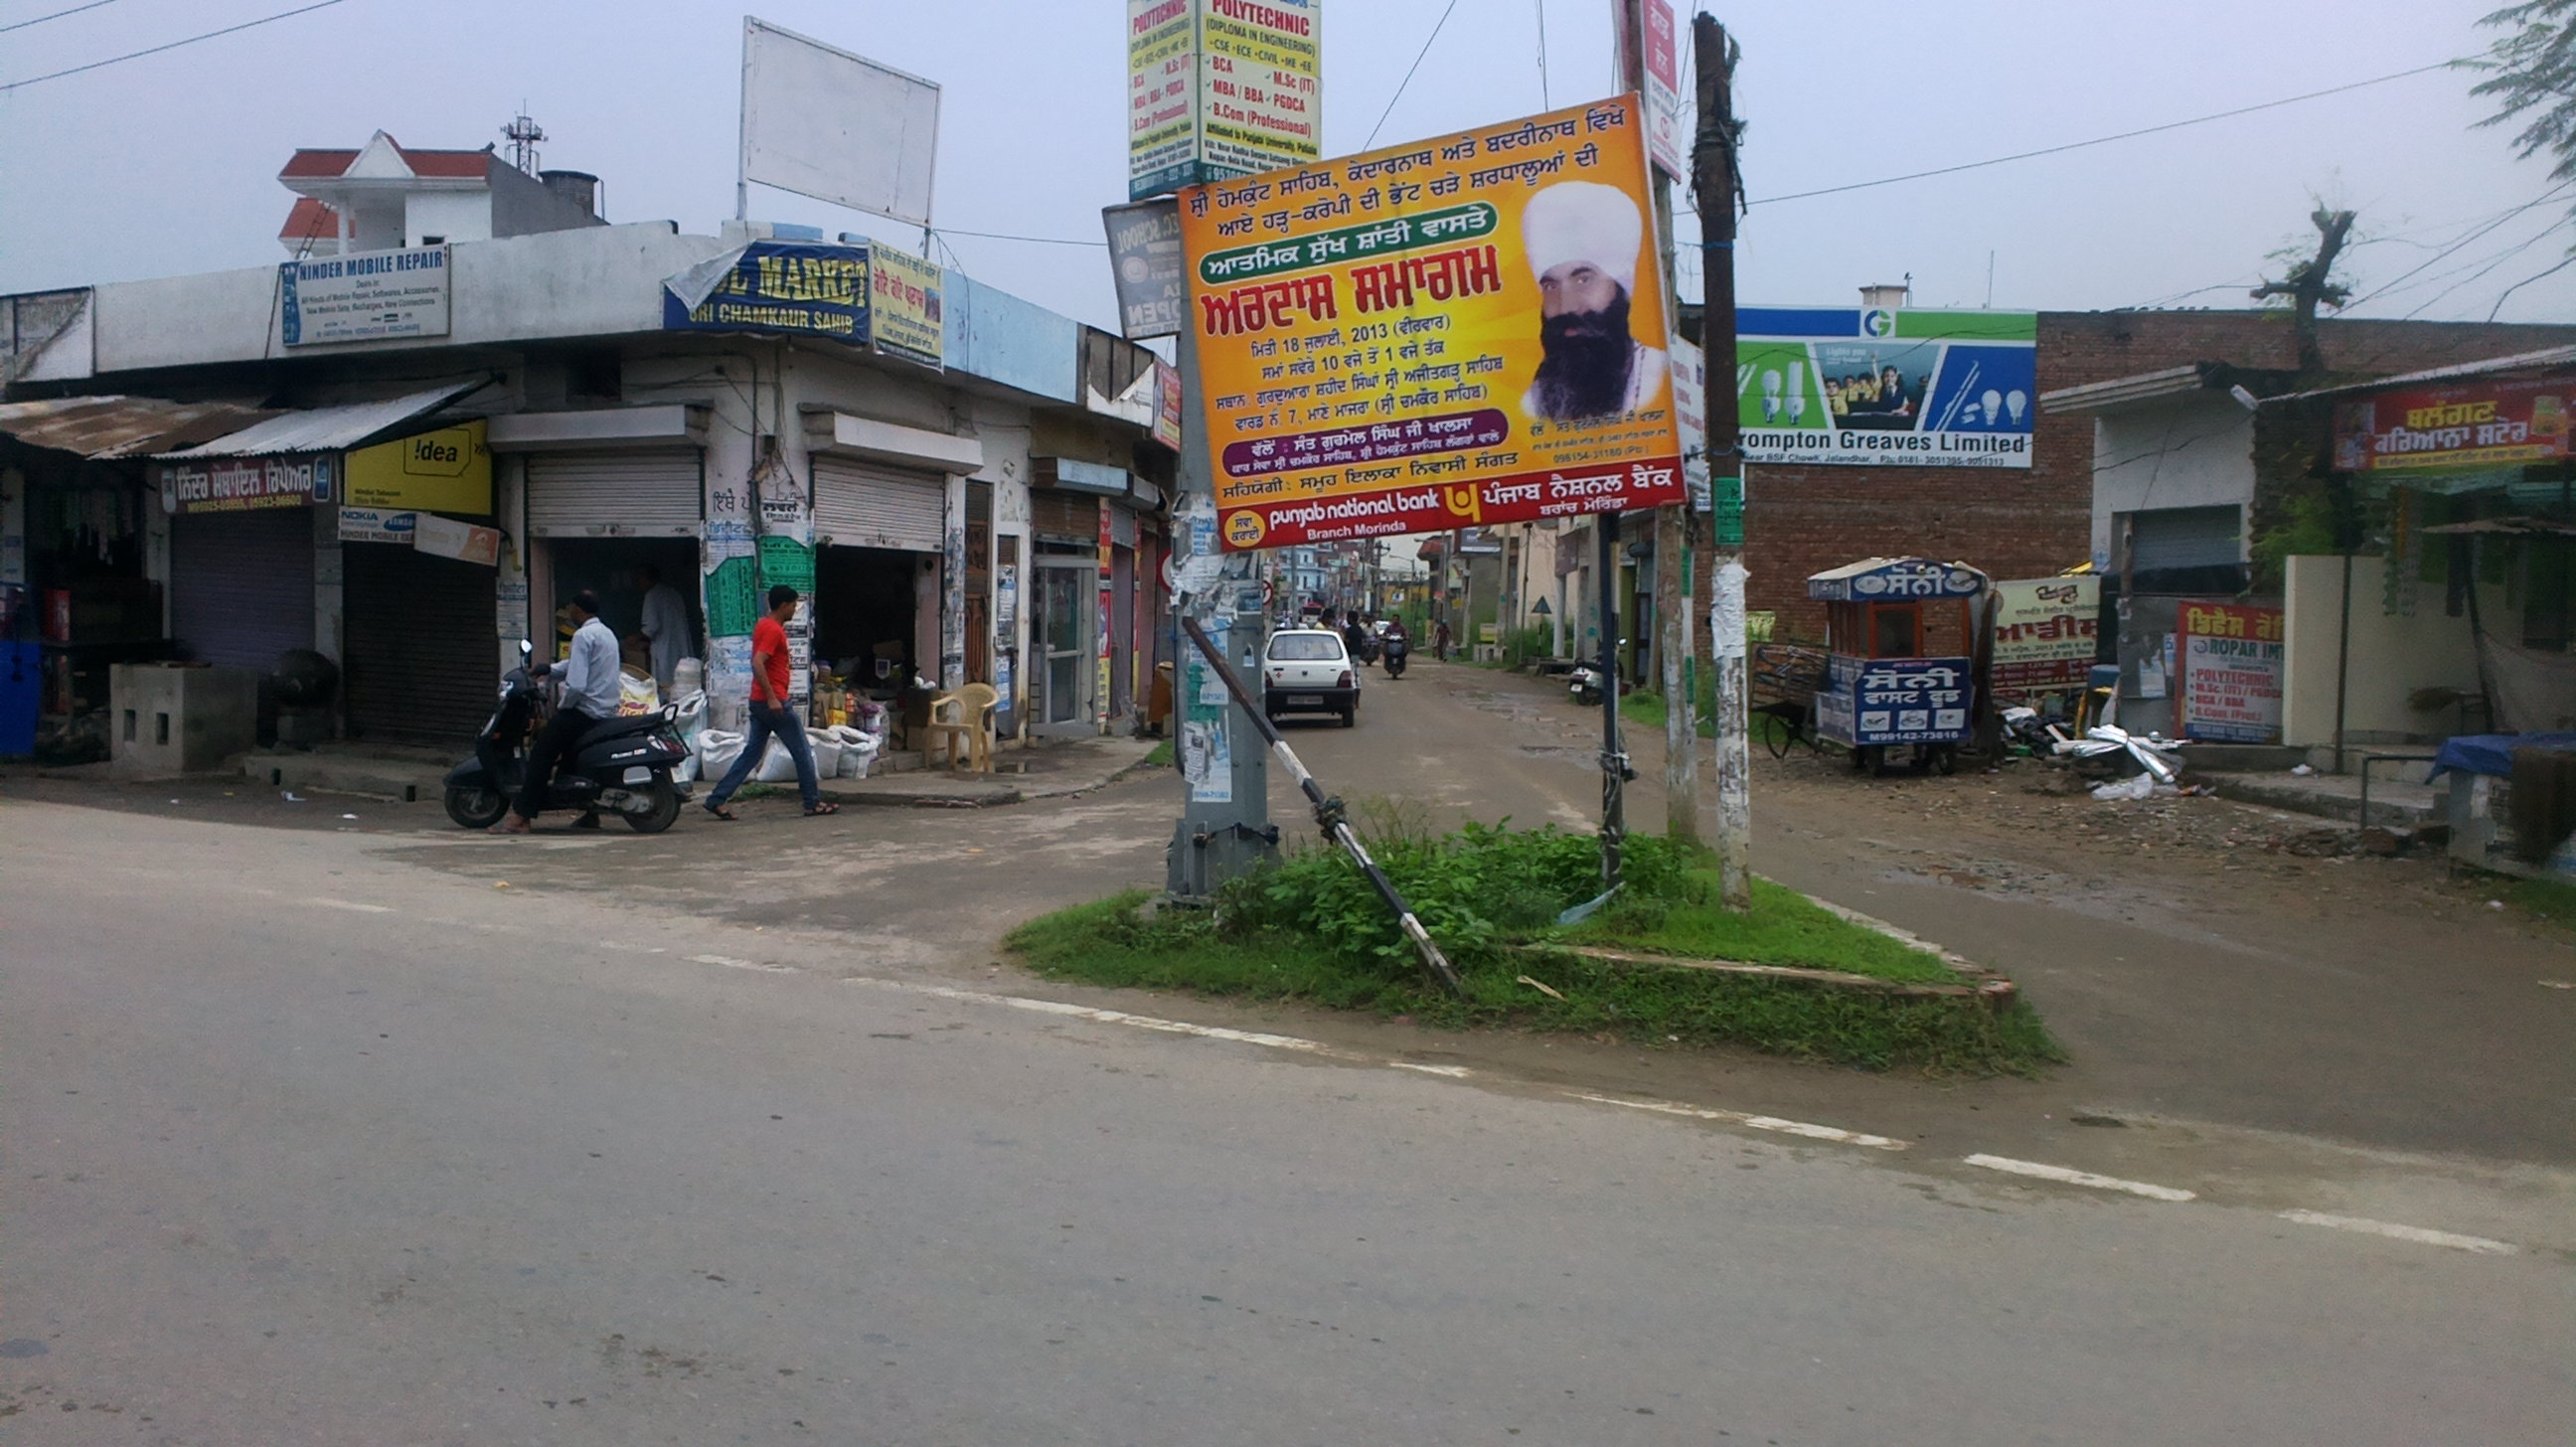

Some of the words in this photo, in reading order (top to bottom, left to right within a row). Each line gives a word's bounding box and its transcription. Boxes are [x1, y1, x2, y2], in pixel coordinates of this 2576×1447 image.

[1209, 0, 1315, 42] POLYTECHNIC
[297, 257, 345, 285] NINDER
[344, 253, 395, 279] MOBILE
[394, 247, 446, 272] REPAIR
[752, 251, 871, 313] MARKET
[1184, 189, 1212, 224] ਸ੍ਰੀ
[1210, 55, 1236, 78] BCA
[1211, 75, 1238, 100] MBA
[1211, 98, 1249, 124] B.Com
[1211, 212, 1259, 241] ਆਏ
[1212, 175, 1277, 212] ਹੇਮਕੁੰਟ
[1200, 237, 1303, 281] ਆਤਮਿਕ
[1240, 82, 1268, 108] BBA
[1249, 108, 1311, 139] Professional)
[1271, 68, 1299, 92] M.Sc
[1270, 89, 1309, 118] PGDCA
[1275, 165, 1336, 202] ਸਾਹਿਬ
[1301, 74, 1314, 96] (IT)
[1260, 187, 1361, 236] ਹੜ੍ਹ-ਕਰੋਪੀ
[1300, 230, 1352, 266] ਸੁੱਖ
[1355, 182, 1383, 215] ਦੀ
[1350, 216, 1416, 258] ਸ਼ਾਂਤੀ
[1343, 144, 1438, 187] ਕੇਦਾਰਨਾਥ
[1380, 174, 1426, 212] ਭੇਂਟ
[1344, 236, 1511, 320] ਸਮਾਰਾਮ
[1425, 167, 1465, 202] ਚੜੇ
[1416, 202, 1496, 241] ਵਾਸਤੇ
[1437, 131, 1482, 167] ਅਤੇ
[1467, 147, 1568, 196] ਸ਼ਰਧਾਲੂਆਂ
[1481, 112, 1582, 158] ਬਦਰੀਨਾਥ
[1568, 139, 1608, 171] ਦੀ
[1579, 98, 1632, 139] ਵਿਖੇ
[173, 460, 210, 502] ਨਿੰਦਰ
[210, 456, 261, 499] ਸੋਬਾਇਲ
[261, 453, 314, 495] ਰਿਪੇਅਰ
[339, 507, 382, 522] NOKIA
[408, 437, 466, 470] !dea
[709, 484, 738, 516] ਇਥੇ
[715, 299, 813, 329] CHAMKAUR
[810, 305, 856, 338] SAHIB
[1213, 389, 1247, 414] ਸਥਾਨ
[1231, 411, 1267, 436] ਵਾਰਡ
[1218, 474, 1286, 500] ਸਹਿਯੇਗੀ
[1244, 335, 1282, 360] ਮਿਤੀ
[1247, 437, 1279, 458] ਵੱਲੋਂ
[1191, 264, 1343, 345] ਅਰਦਾਸ
[1257, 358, 1286, 383] ਸਮਾਂ
[1263, 408, 1284, 426] ਨੇ
[1250, 382, 1311, 410] ਗੁਰਦੁਆਰਾ
[1280, 330, 1302, 358] 18
[1284, 404, 1301, 426] 7
[1260, 497, 1326, 535] punjab
[1290, 434, 1319, 453] ਸੰਤ
[1286, 353, 1324, 379] ਸਵੇਰੇ
[1301, 399, 1332, 425] ਮਾਣੇ
[1296, 470, 1344, 496] ਸਮੂਹ
[1299, 323, 1347, 357] ਜੁਲਾਈ,
[1302, 522, 1353, 541] Branch
[1320, 352, 1340, 372] 10
[1311, 374, 1350, 399] ਸ਼ਹੀਦ
[1319, 426, 1369, 452] ਗੁਰਮੇਲ
[1332, 393, 1372, 423] ਮਾਜਰਾ
[1340, 345, 1366, 372] ਵਜੇ
[1326, 488, 1398, 524] national
[1347, 368, 1382, 395] ਸਿੰਘ
[1346, 318, 1394, 347] 2013
[1362, 343, 1383, 368] ਤੋ
[1340, 459, 1405, 488] ਇਲਾਕਾ
[1351, 517, 1412, 539] Morinda
[1368, 421, 1402, 443] ਸਿੰਘ
[1375, 389, 1399, 416] ਸ੍ਰੀ
[1381, 341, 1396, 365] 1
[1382, 365, 1401, 393] ਸ੍ਰੀ
[1394, 338, 1423, 365] ਵਜੇ
[1403, 418, 1424, 439] ਜੀ
[1393, 484, 1444, 513] bank
[1398, 385, 1444, 410] ਚਮਕੌਰ
[1394, 311, 1449, 339] ਵੀਰਵਾਰ
[1400, 357, 1464, 388] ਅਜੀਤਗੜ੍ਹ
[1420, 336, 1449, 359] ਤੱਕ
[1404, 451, 1473, 479] ਨਿਵਾਸੀ
[1424, 414, 1476, 435] ਖਾਲਸਾ
[1442, 377, 1485, 405] ਸਾਹਿਬ
[1463, 349, 1511, 379] ਸਾਹਿਬ
[1470, 445, 1528, 473] ਸੰਗਤ
[1480, 474, 1544, 507] ਪੰਜਾਬ
[1534, 498, 1579, 520] ਬਰਾਚ
[1544, 466, 1628, 499] ਨੈਸ਼ਨਲ
[1579, 491, 1631, 513] ਮਰਿੰਡਾ
[1625, 457, 1678, 492] ਬੈਕ
[1738, 427, 1832, 452] rompton
[1837, 429, 1939, 454] Greaves
[1935, 433, 2029, 456] Limited
[2370, 422, 2476, 456] ਕਰਿਆਨਾ
[2474, 408, 2533, 448] ਸਦੋਰ
[1884, 561, 1947, 598] ਸੋਨੀ
[1995, 612, 2101, 643] ਮਾਡੀਸ਼
[2181, 601, 2251, 639] ਡਿਫੈਂਸ
[2207, 637, 2261, 659] ROPAR
[1860, 664, 1969, 690] ਸੋਨੀ
[2192, 666, 2278, 688] POLYTECHNIC
[1856, 689, 1925, 711] ਫਾਸਟ
[1924, 688, 1966, 710] ਫੂਡ